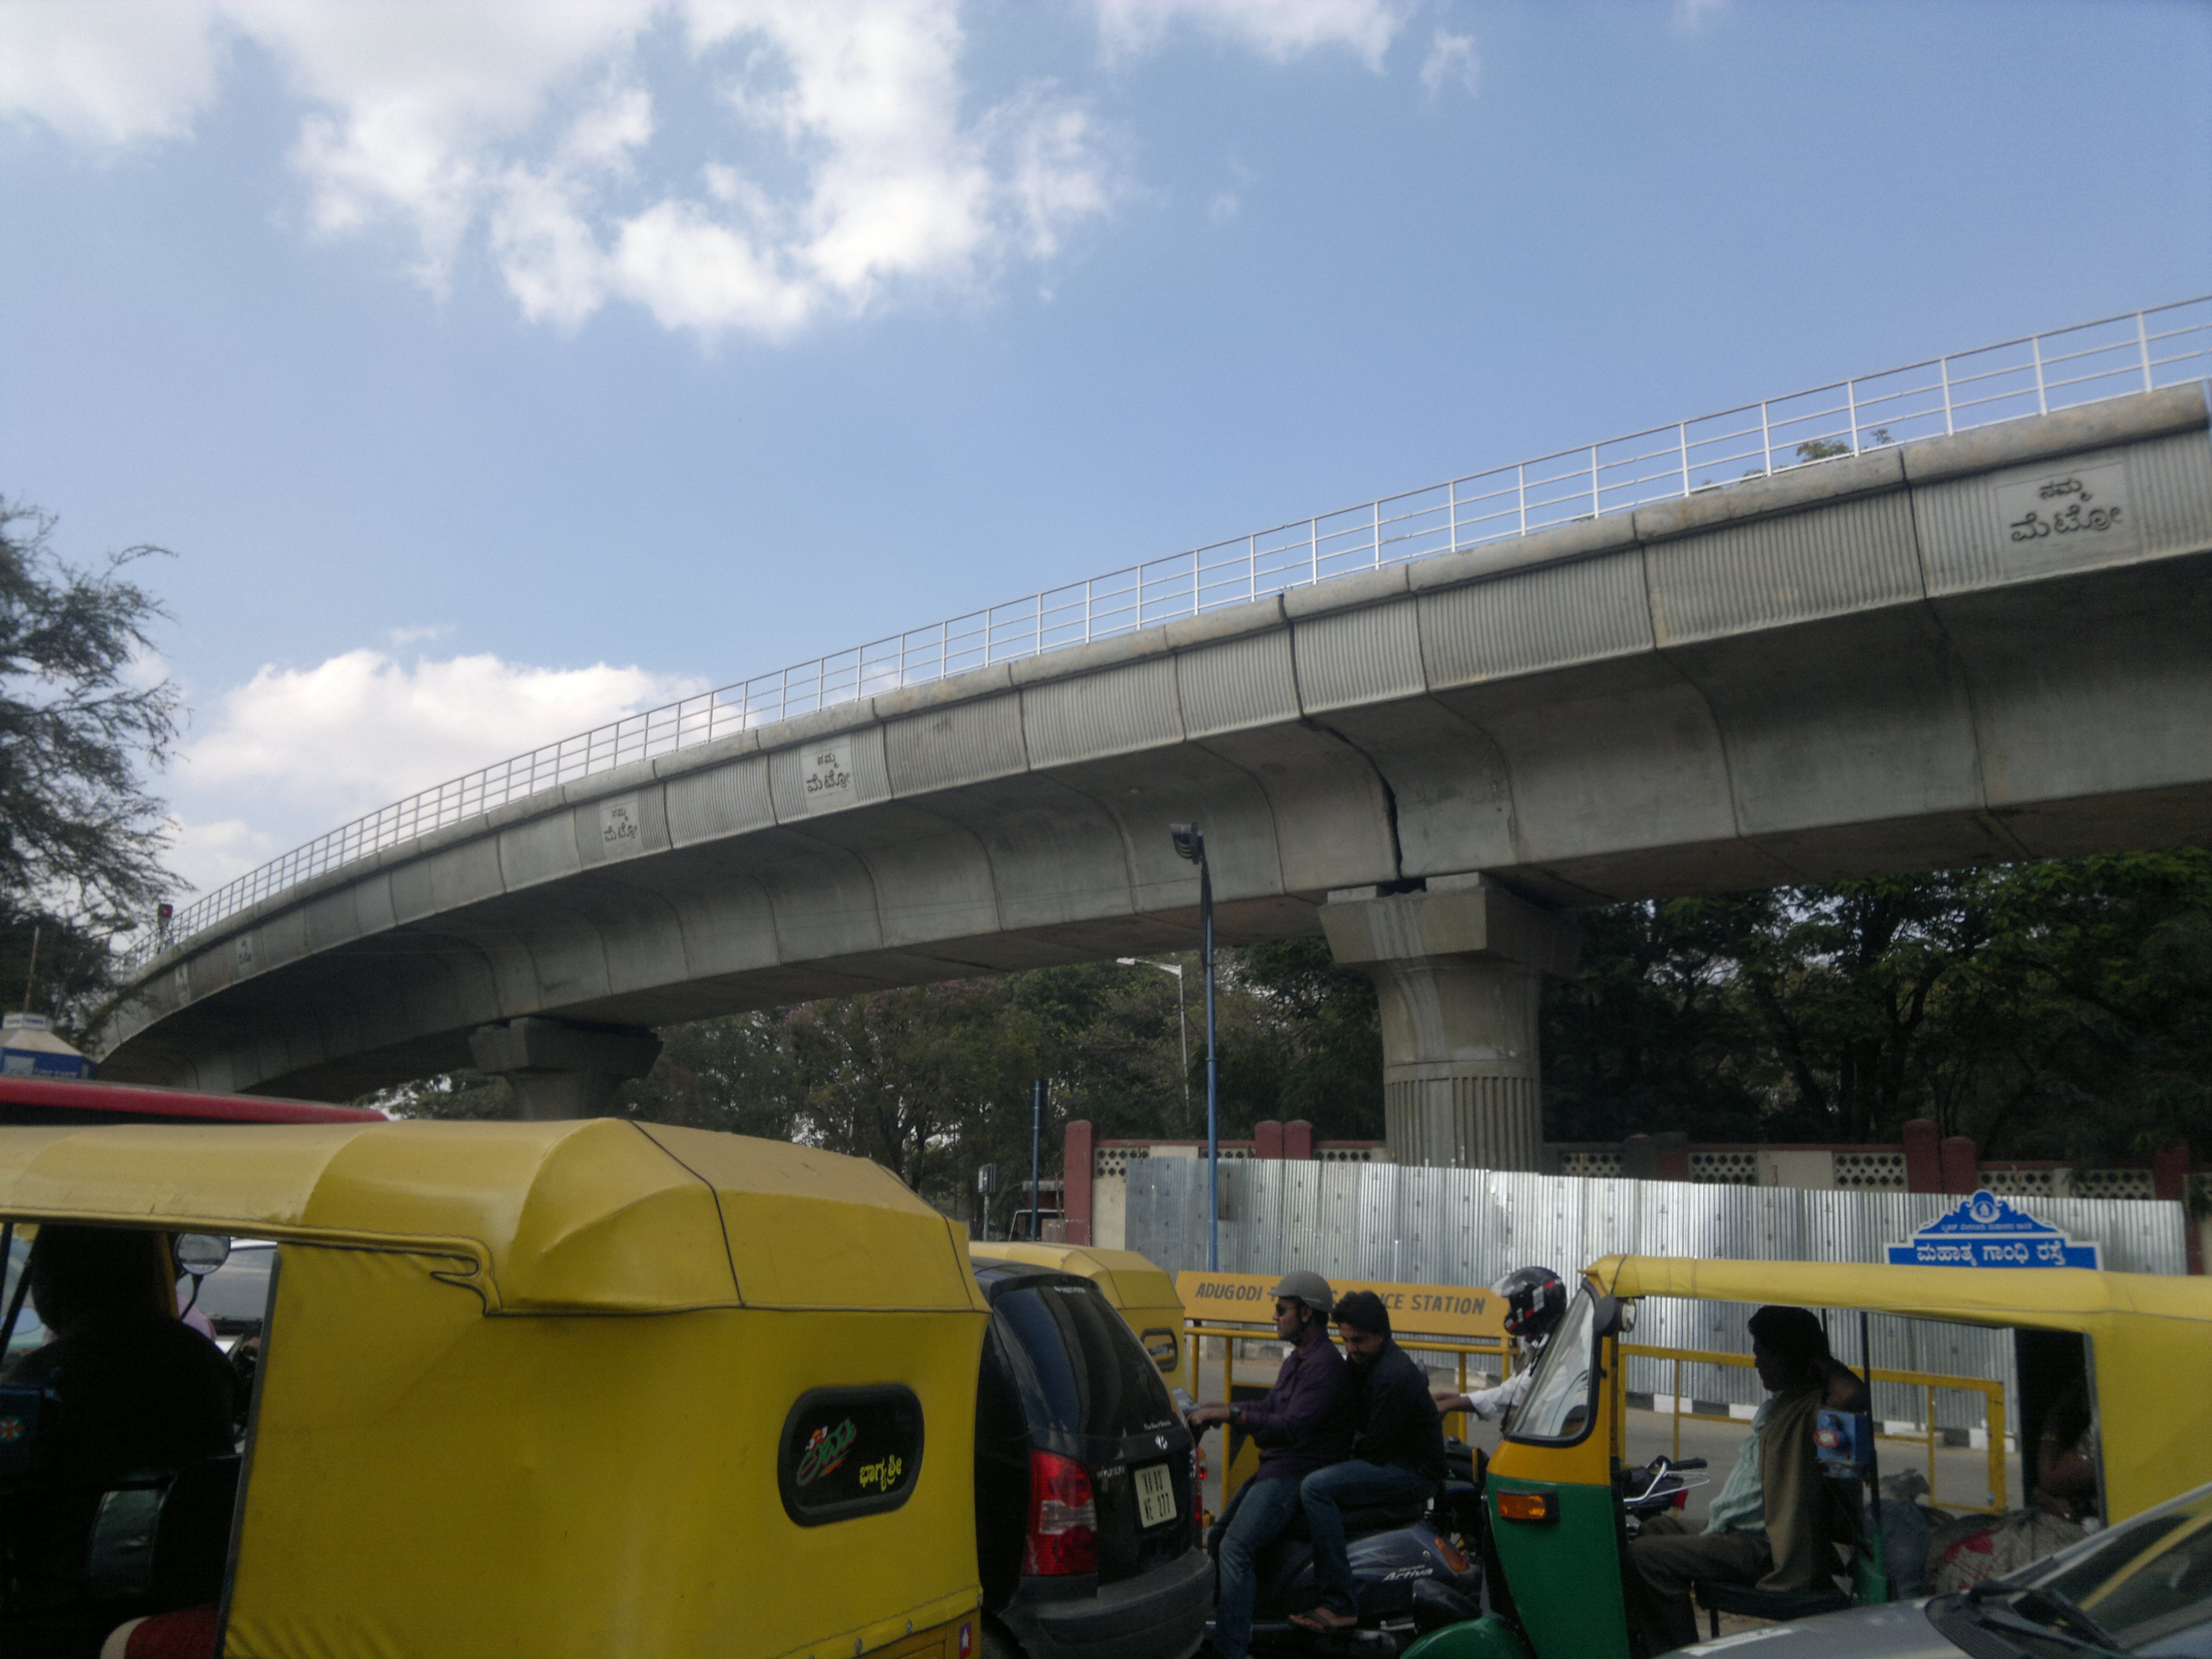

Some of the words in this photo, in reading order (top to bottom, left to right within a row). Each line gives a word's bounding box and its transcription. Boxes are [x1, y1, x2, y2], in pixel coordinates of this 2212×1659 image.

[2037, 473, 2095, 504] ನಮ್ಮ
[2002, 499, 2126, 545] ಮೆಟ್ರೋ
[811, 748, 842, 770] ನಮ್ಮ
[806, 765, 855, 795] ಮೆಟ್ರೋ
[602, 820, 642, 843] ಮೆಟ್ರೋ
[1913, 1238, 1978, 1268] ಮಹಾತ್ಯ
[1980, 1240, 2032, 1265] ಗಾಂಧಿ
[2032, 1235, 2068, 1269] ರಸ್ತ
[1194, 1275, 1267, 1303] ADUGODI
[1409, 1289, 1490, 1315] STATION
[858, 1451, 907, 1495] ಭಾಗ್ಯಶ್ರೀ